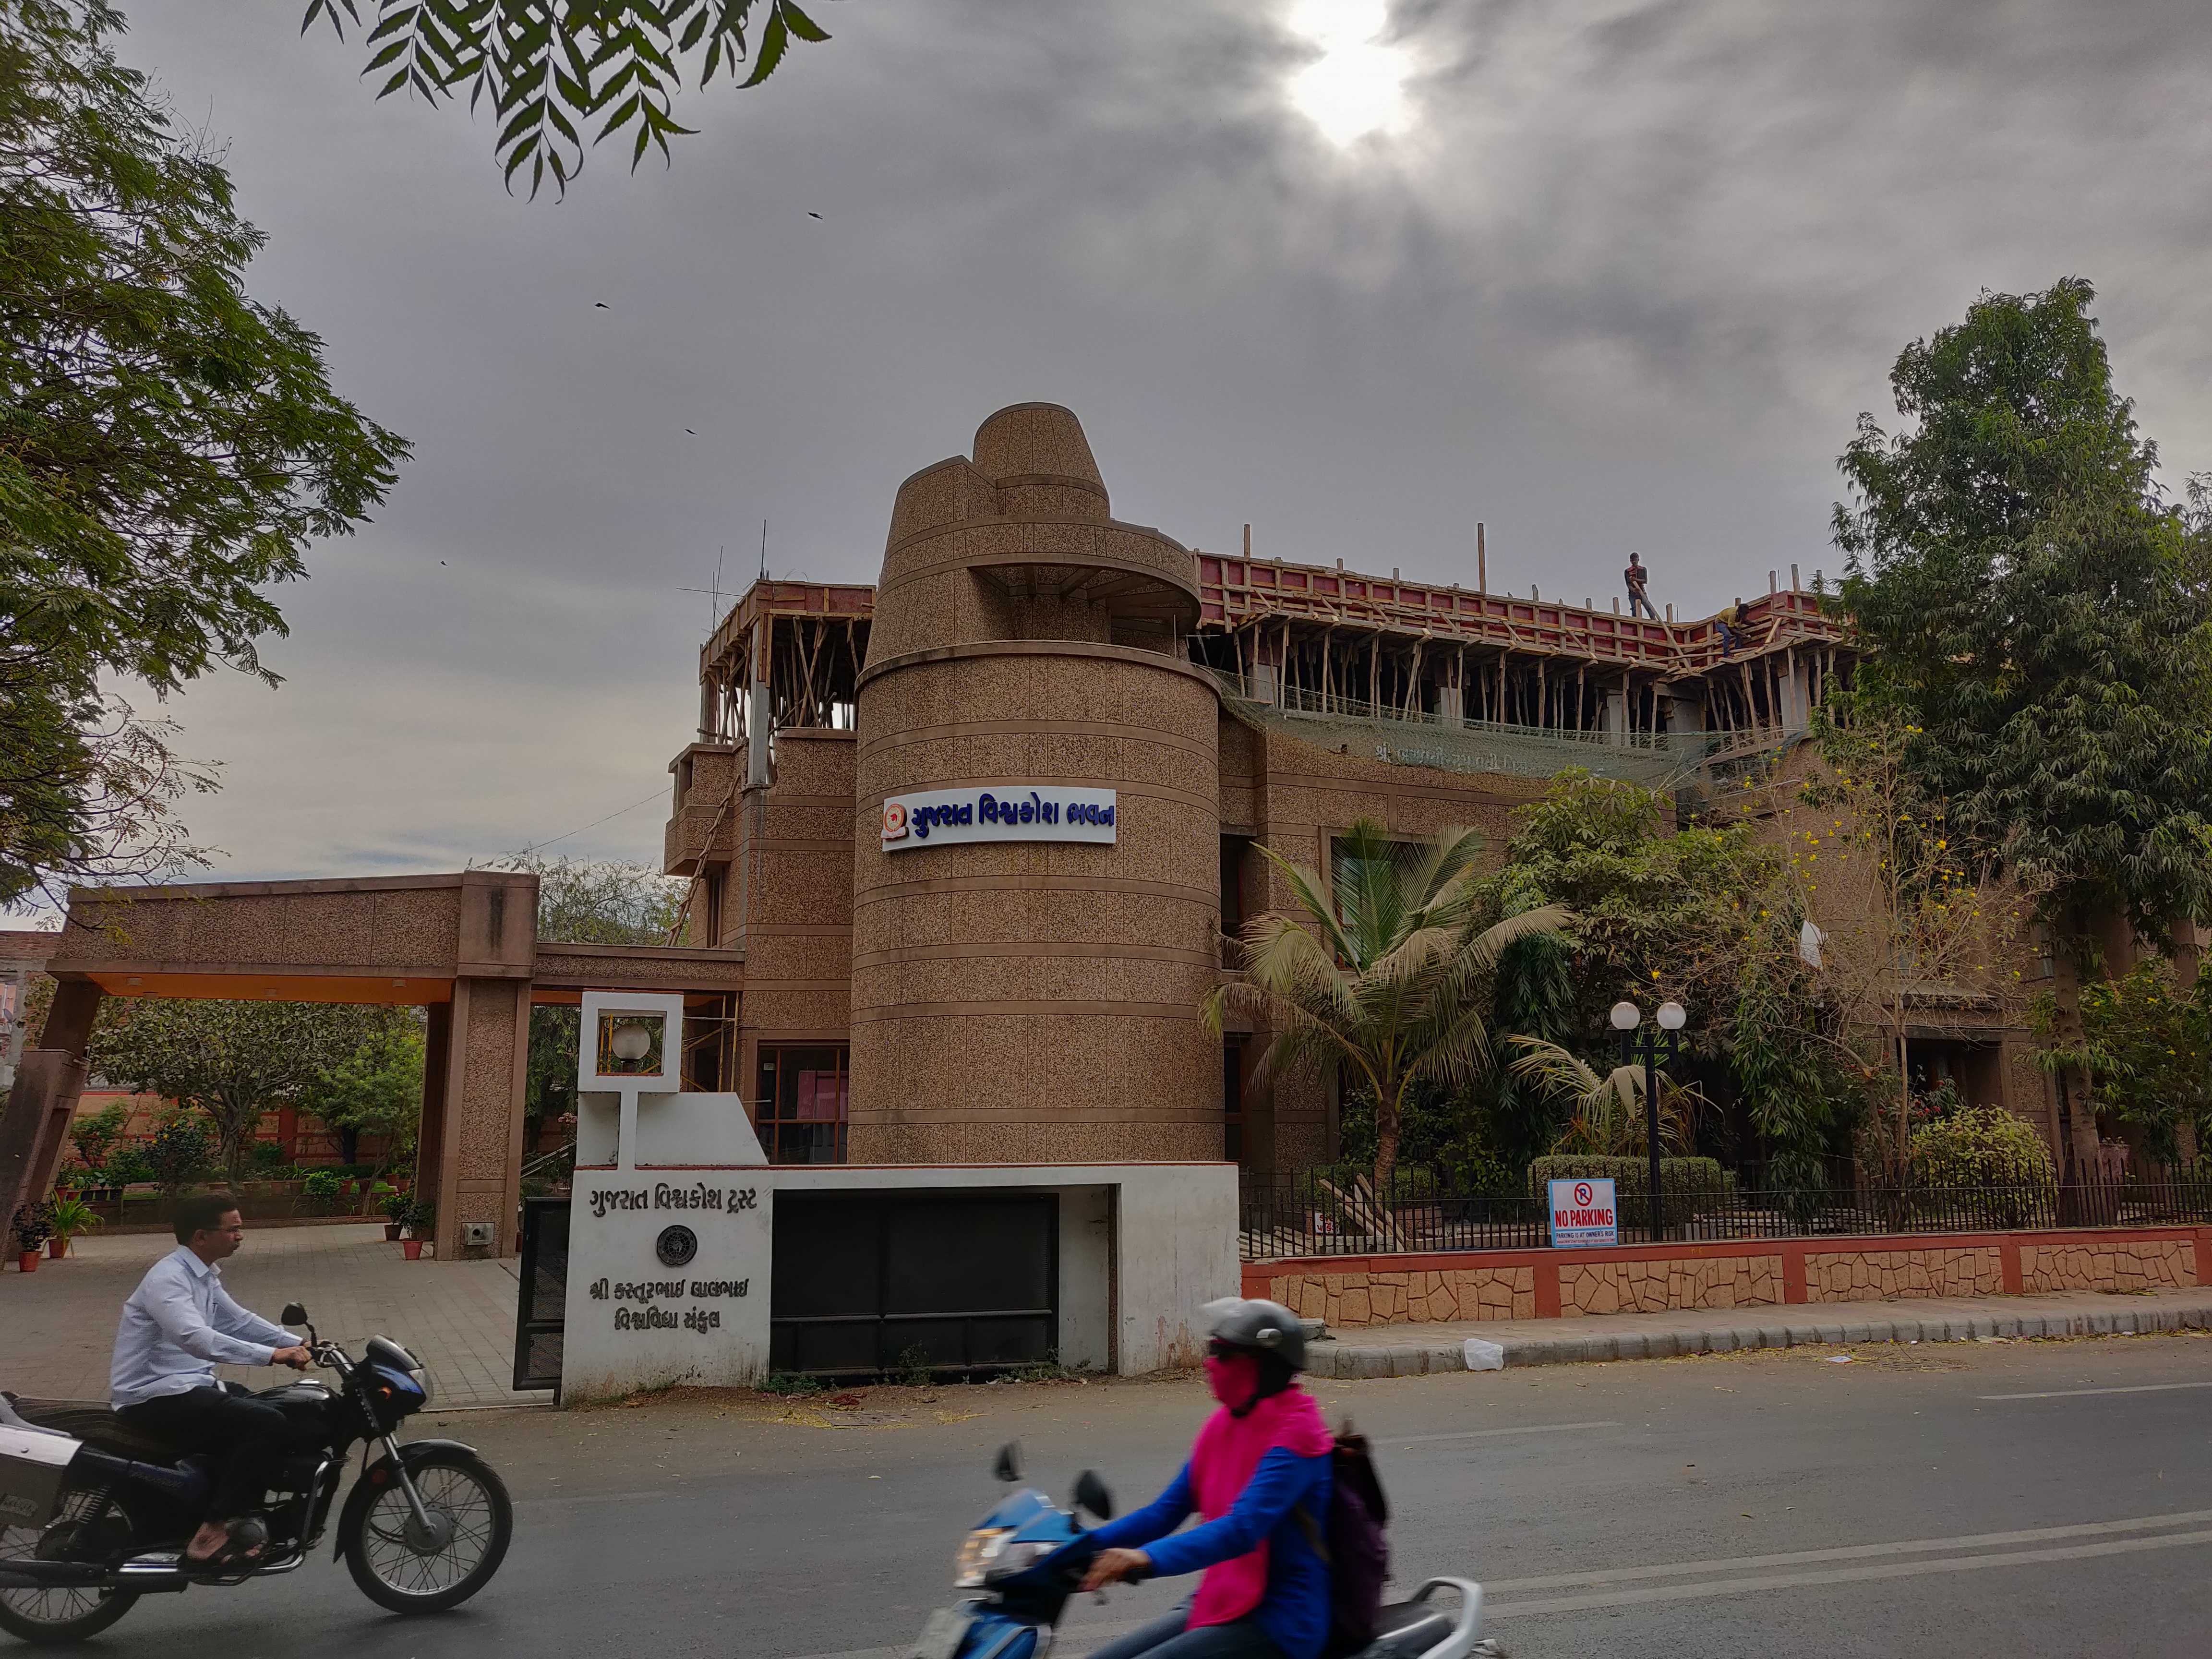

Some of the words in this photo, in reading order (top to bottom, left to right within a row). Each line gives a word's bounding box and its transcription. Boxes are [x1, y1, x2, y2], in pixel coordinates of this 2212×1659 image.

[910, 800, 974, 841] ગુજરાત
[974, 788, 1063, 829] વિશ્વકોશ
[1066, 798, 1118, 829] ભવન
[584, 1182, 652, 1222] ગુજરાત
[650, 1178, 727, 1214] વિશ્વકોશ
[724, 1185, 764, 1217] ટ્રસ્ટ
[1553, 1209, 1569, 1229] NO
[1568, 1206, 1614, 1229] PARKING
[584, 1274, 612, 1305] શ્રી
[611, 1276, 688, 1306] કસ્તુરભાઈ
[686, 1275, 753, 1300] લાલભાઈ
[609, 1302, 679, 1331] વિશ્વવિધા
[681, 1304, 724, 1335] સંકુલ